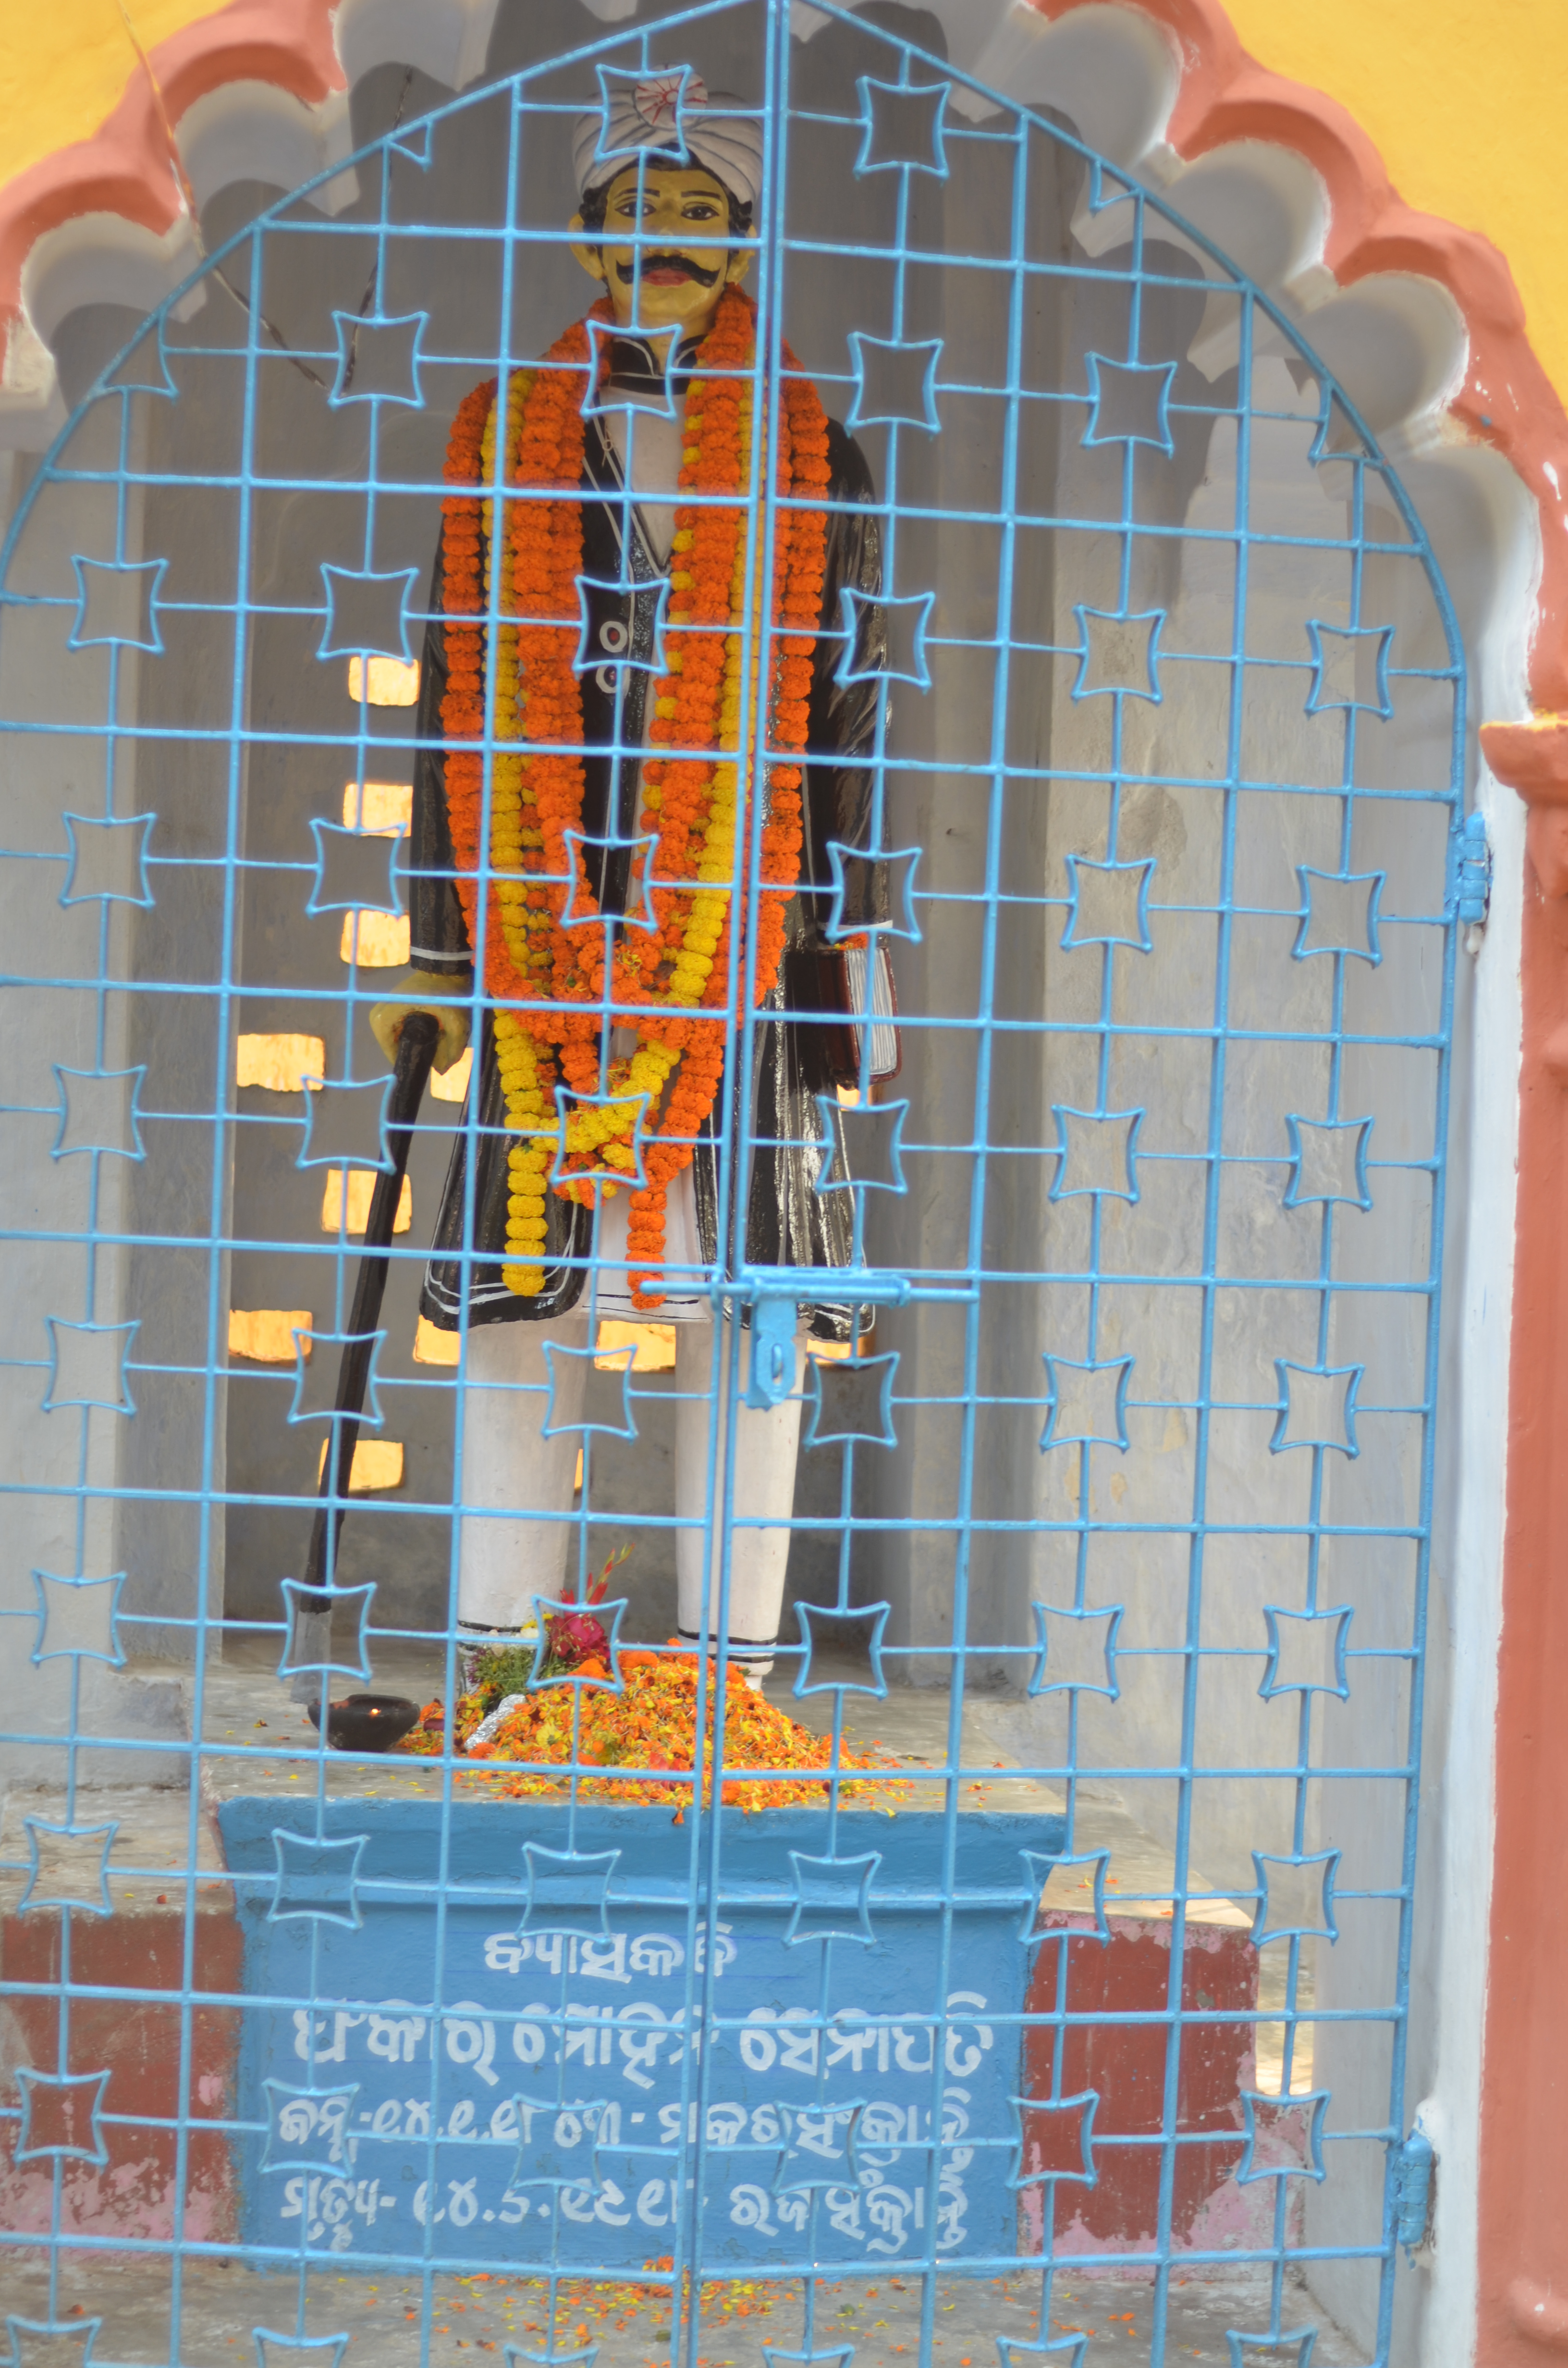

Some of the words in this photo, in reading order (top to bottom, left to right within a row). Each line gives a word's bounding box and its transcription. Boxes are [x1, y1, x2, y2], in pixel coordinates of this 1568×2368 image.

[478, 1910, 741, 1987] ଦ୍ଯାସକଦି
[284, 1995, 504, 2092] ଫକର
[727, 2145, 977, 2260] ରଜ ସଂକ୍ରାନ୍ତି